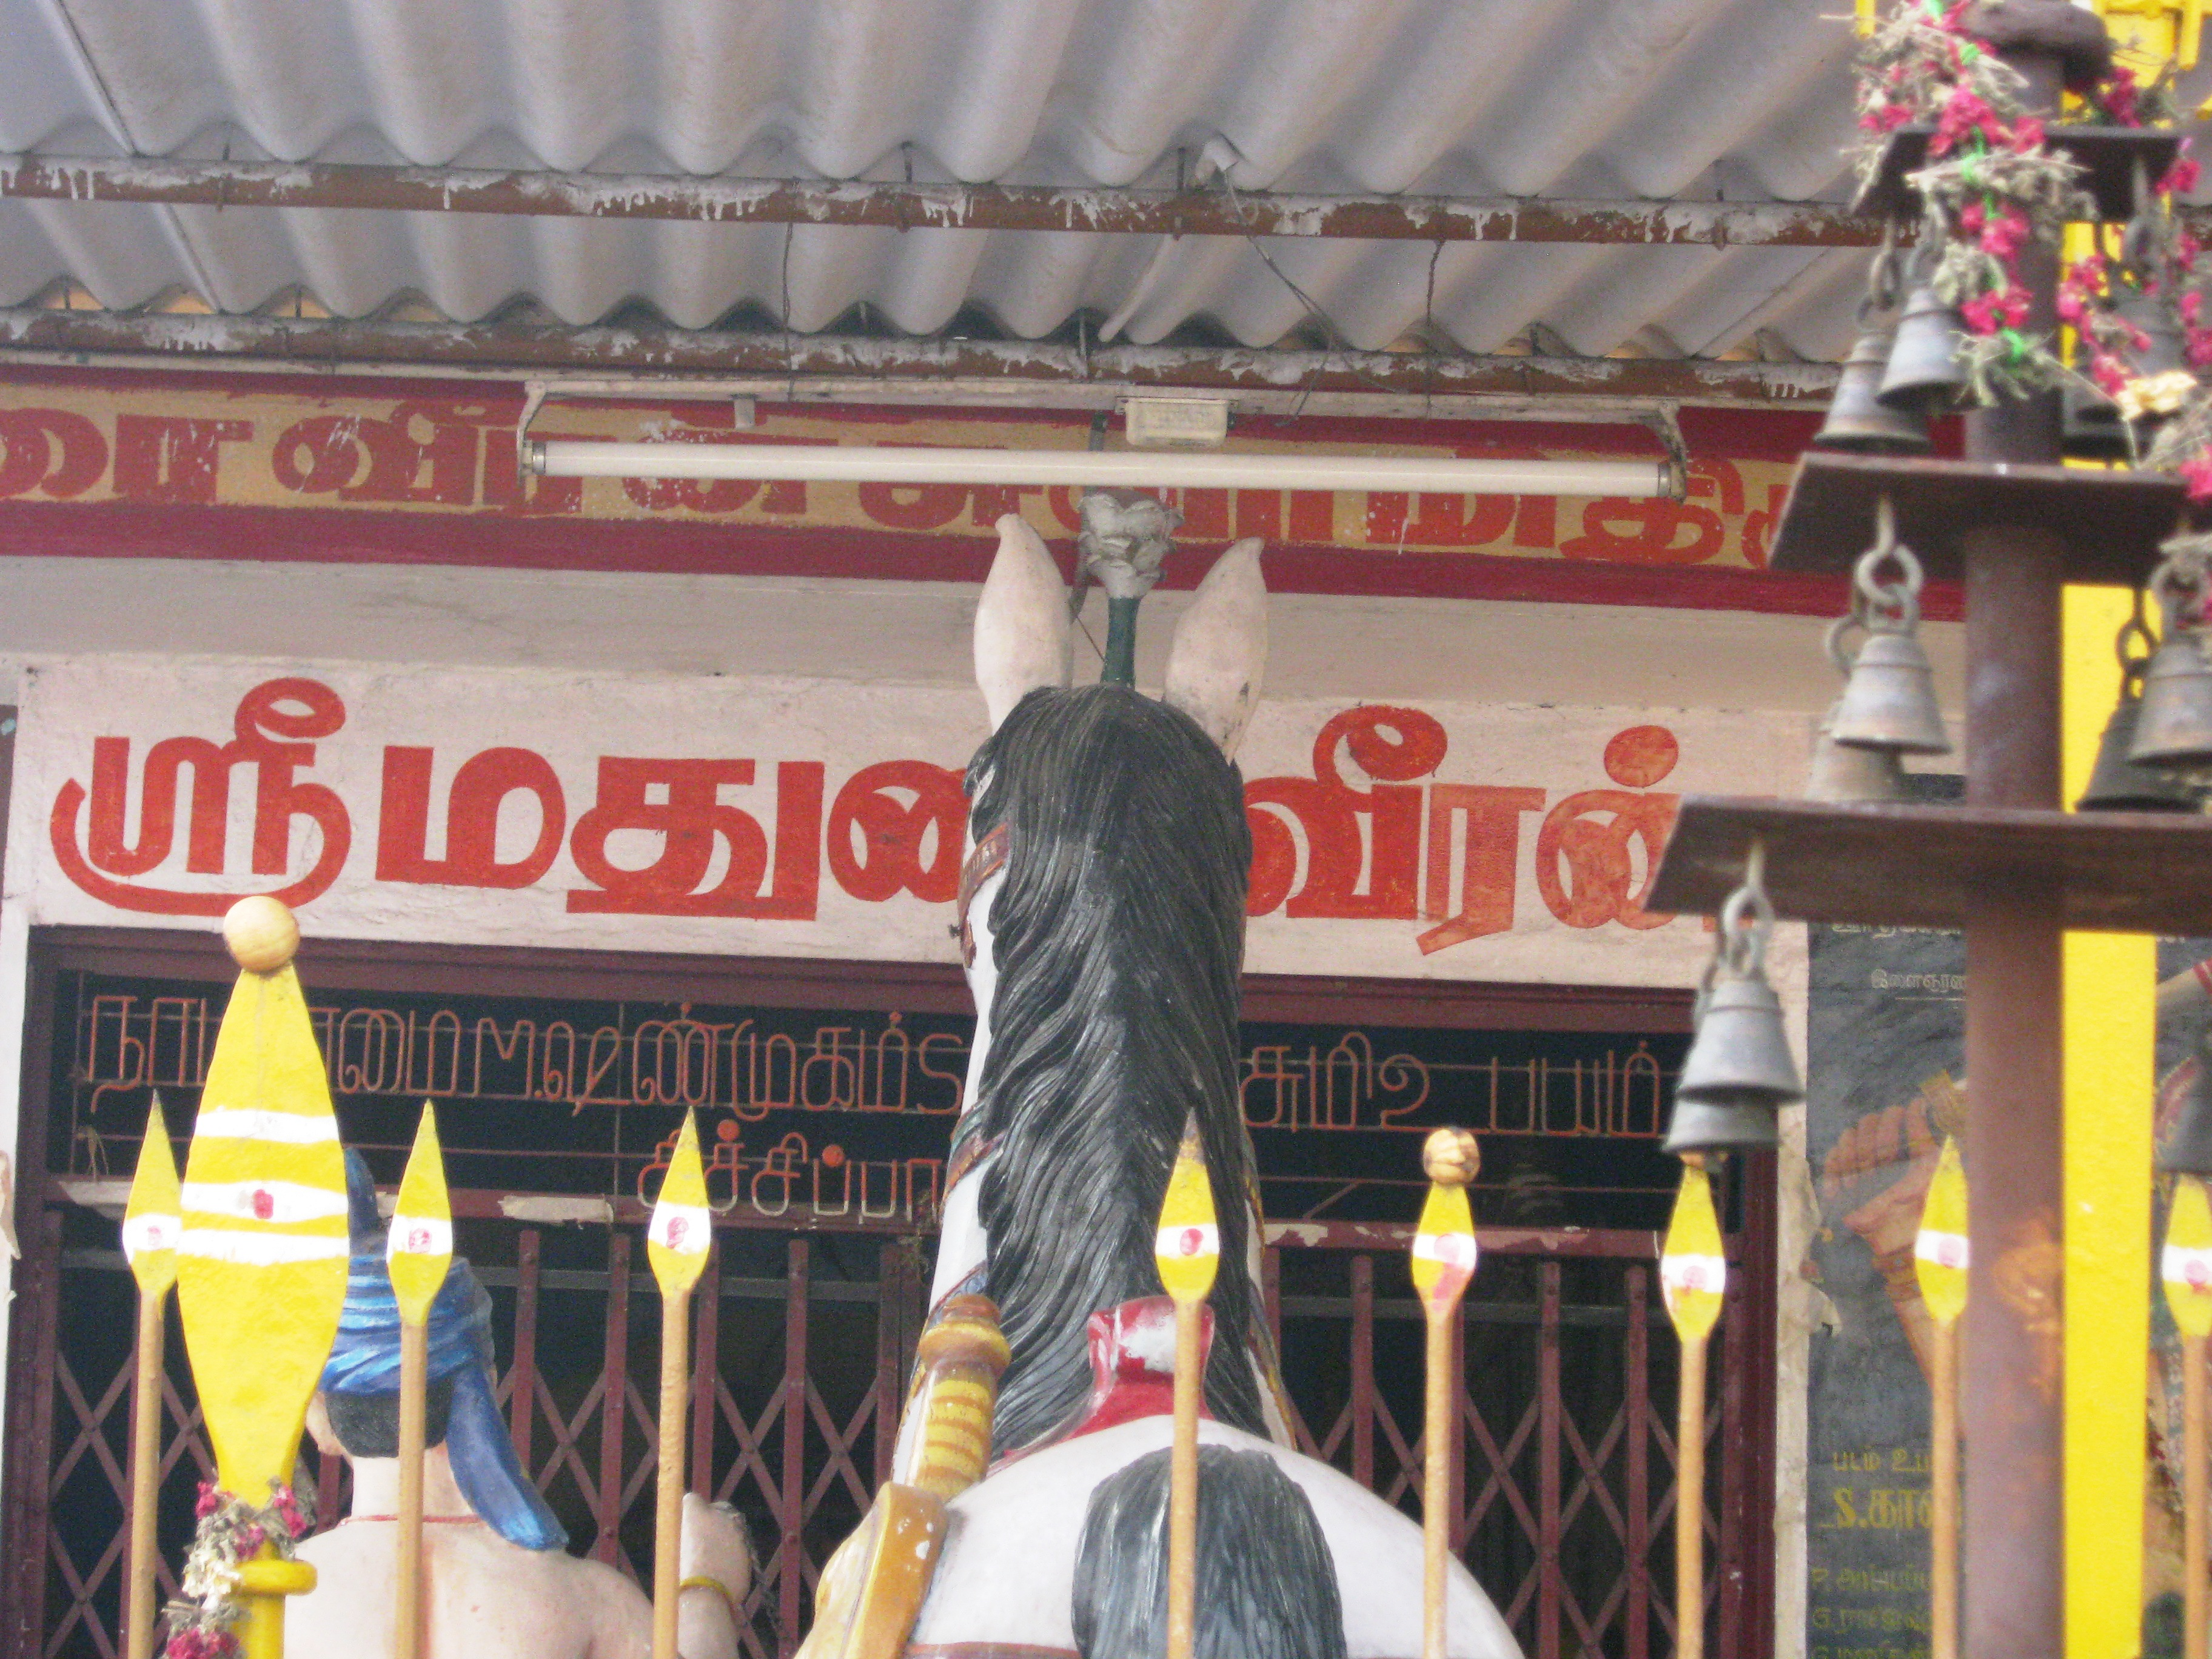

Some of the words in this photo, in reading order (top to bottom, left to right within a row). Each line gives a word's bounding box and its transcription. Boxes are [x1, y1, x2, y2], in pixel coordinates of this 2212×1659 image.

[38, 672, 1781, 959] ஸ்ரீமதுரைவீரன்
[1231, 1019, 1671, 1142] சுரிஉபயம்.
[626, 1114, 948, 1232] கச்சிப்பா